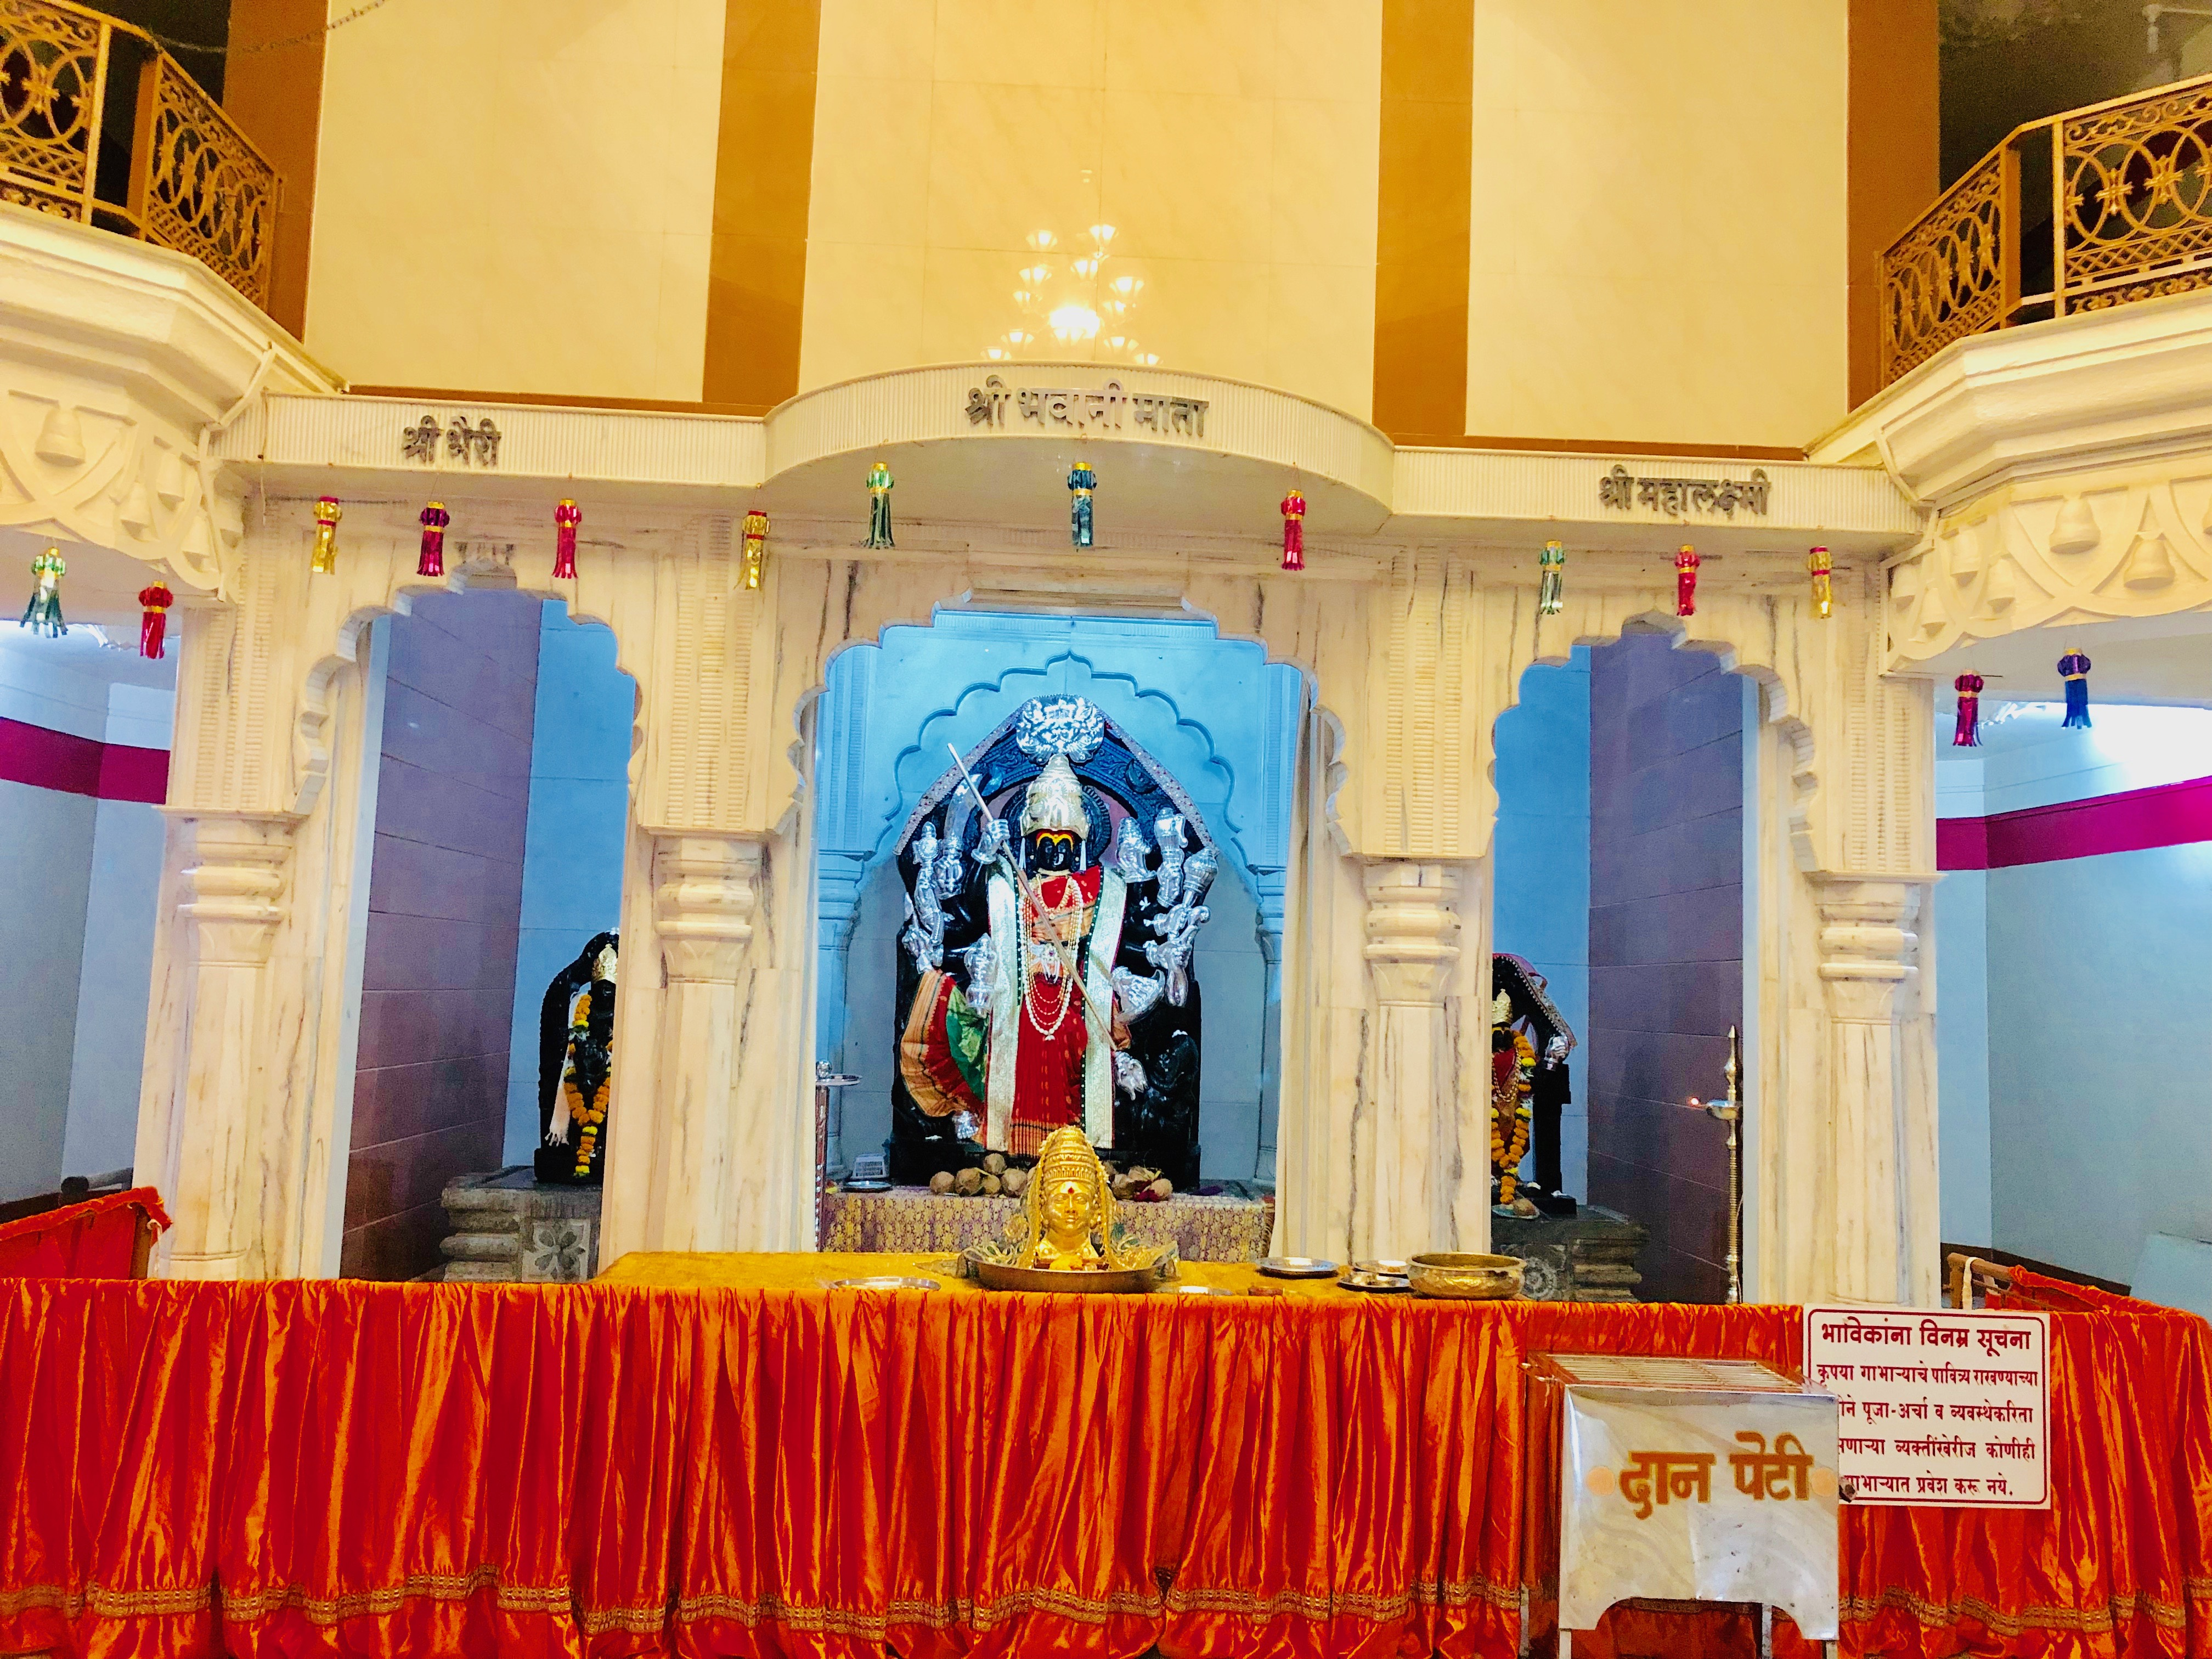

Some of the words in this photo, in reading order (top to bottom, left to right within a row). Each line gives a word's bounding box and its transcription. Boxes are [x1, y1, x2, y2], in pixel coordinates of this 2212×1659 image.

[956, 371, 1014, 432] श्री
[1014, 373, 1132, 434] भवानी
[1131, 385, 1211, 443] माता
[398, 412, 445, 469] श्री
[443, 413, 507, 469] भैरी
[1589, 461, 1637, 517] श्री
[1635, 466, 1777, 522] महालक्ष्मी
[1814, 1314, 1914, 1350] भाविकांना
[1917, 1316, 1972, 1350] विनम्र
[1973, 1325, 2036, 1360] सूचना
[1813, 1359, 1856, 1390] कृपया
[1858, 1357, 1931, 1386] गाभार्‍याचे
[1928, 1359, 1972, 1385] पावित्र्य
[1971, 1365, 2040, 1390] राखण्याच्या
[1858, 1394, 1931, 1429] पूजा-अर्चा
[1932, 1400, 1948, 1424] व
[1948, 1395, 2038, 1426] व्यवस्थेकरिता
[1845, 1435, 1887, 1457] णाऱ्या
[1893, 1430, 1980, 1462] व्यक्तींखेरीज
[1982, 1431, 2039, 1465] कोणीही
[1608, 1445, 1717, 1523] दान
[1725, 1423, 1821, 1510] पेटी
[1860, 1473, 1911, 1496] भार्‍यात
[1913, 1468, 1950, 1499] प्रवेश
[1950, 1471, 1983, 1497] करू
[1984, 1470, 2014, 1499] नये.